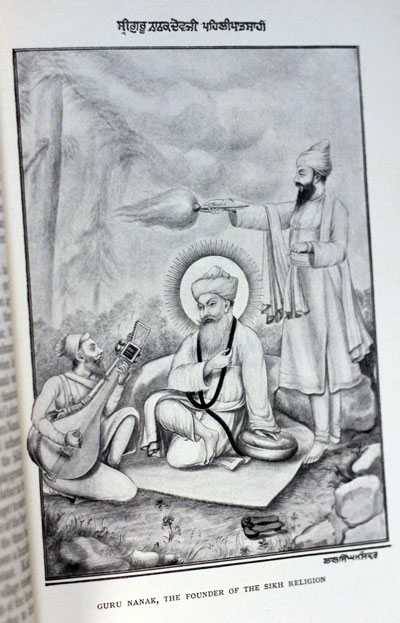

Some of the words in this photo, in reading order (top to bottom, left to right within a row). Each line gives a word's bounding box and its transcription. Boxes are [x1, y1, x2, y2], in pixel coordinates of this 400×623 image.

[113, 14, 148, 38] ਸ੍ਰੀਗੁਰੂ
[147, 13, 201, 35] ਨਾਨਕਦੇਵਜੀ
[201, 14, 273, 37] ਪਹਿਲੀਪਤਸਾਹੀ
[90, 597, 124, 615] GURU
[123, 593, 159, 610] NANAK,
[160, 591, 183, 605] THE
[181, 588, 228, 604] FOUNDER
[225, 584, 241, 598] OF
[240, 582, 263, 596] THE
[262, 577, 288, 594] SIKH
[285, 571, 330, 589] RELIGION